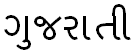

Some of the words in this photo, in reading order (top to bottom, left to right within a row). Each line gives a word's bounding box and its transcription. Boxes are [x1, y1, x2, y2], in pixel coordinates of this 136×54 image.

[0, 3, 135, 52] ગુજરાતી